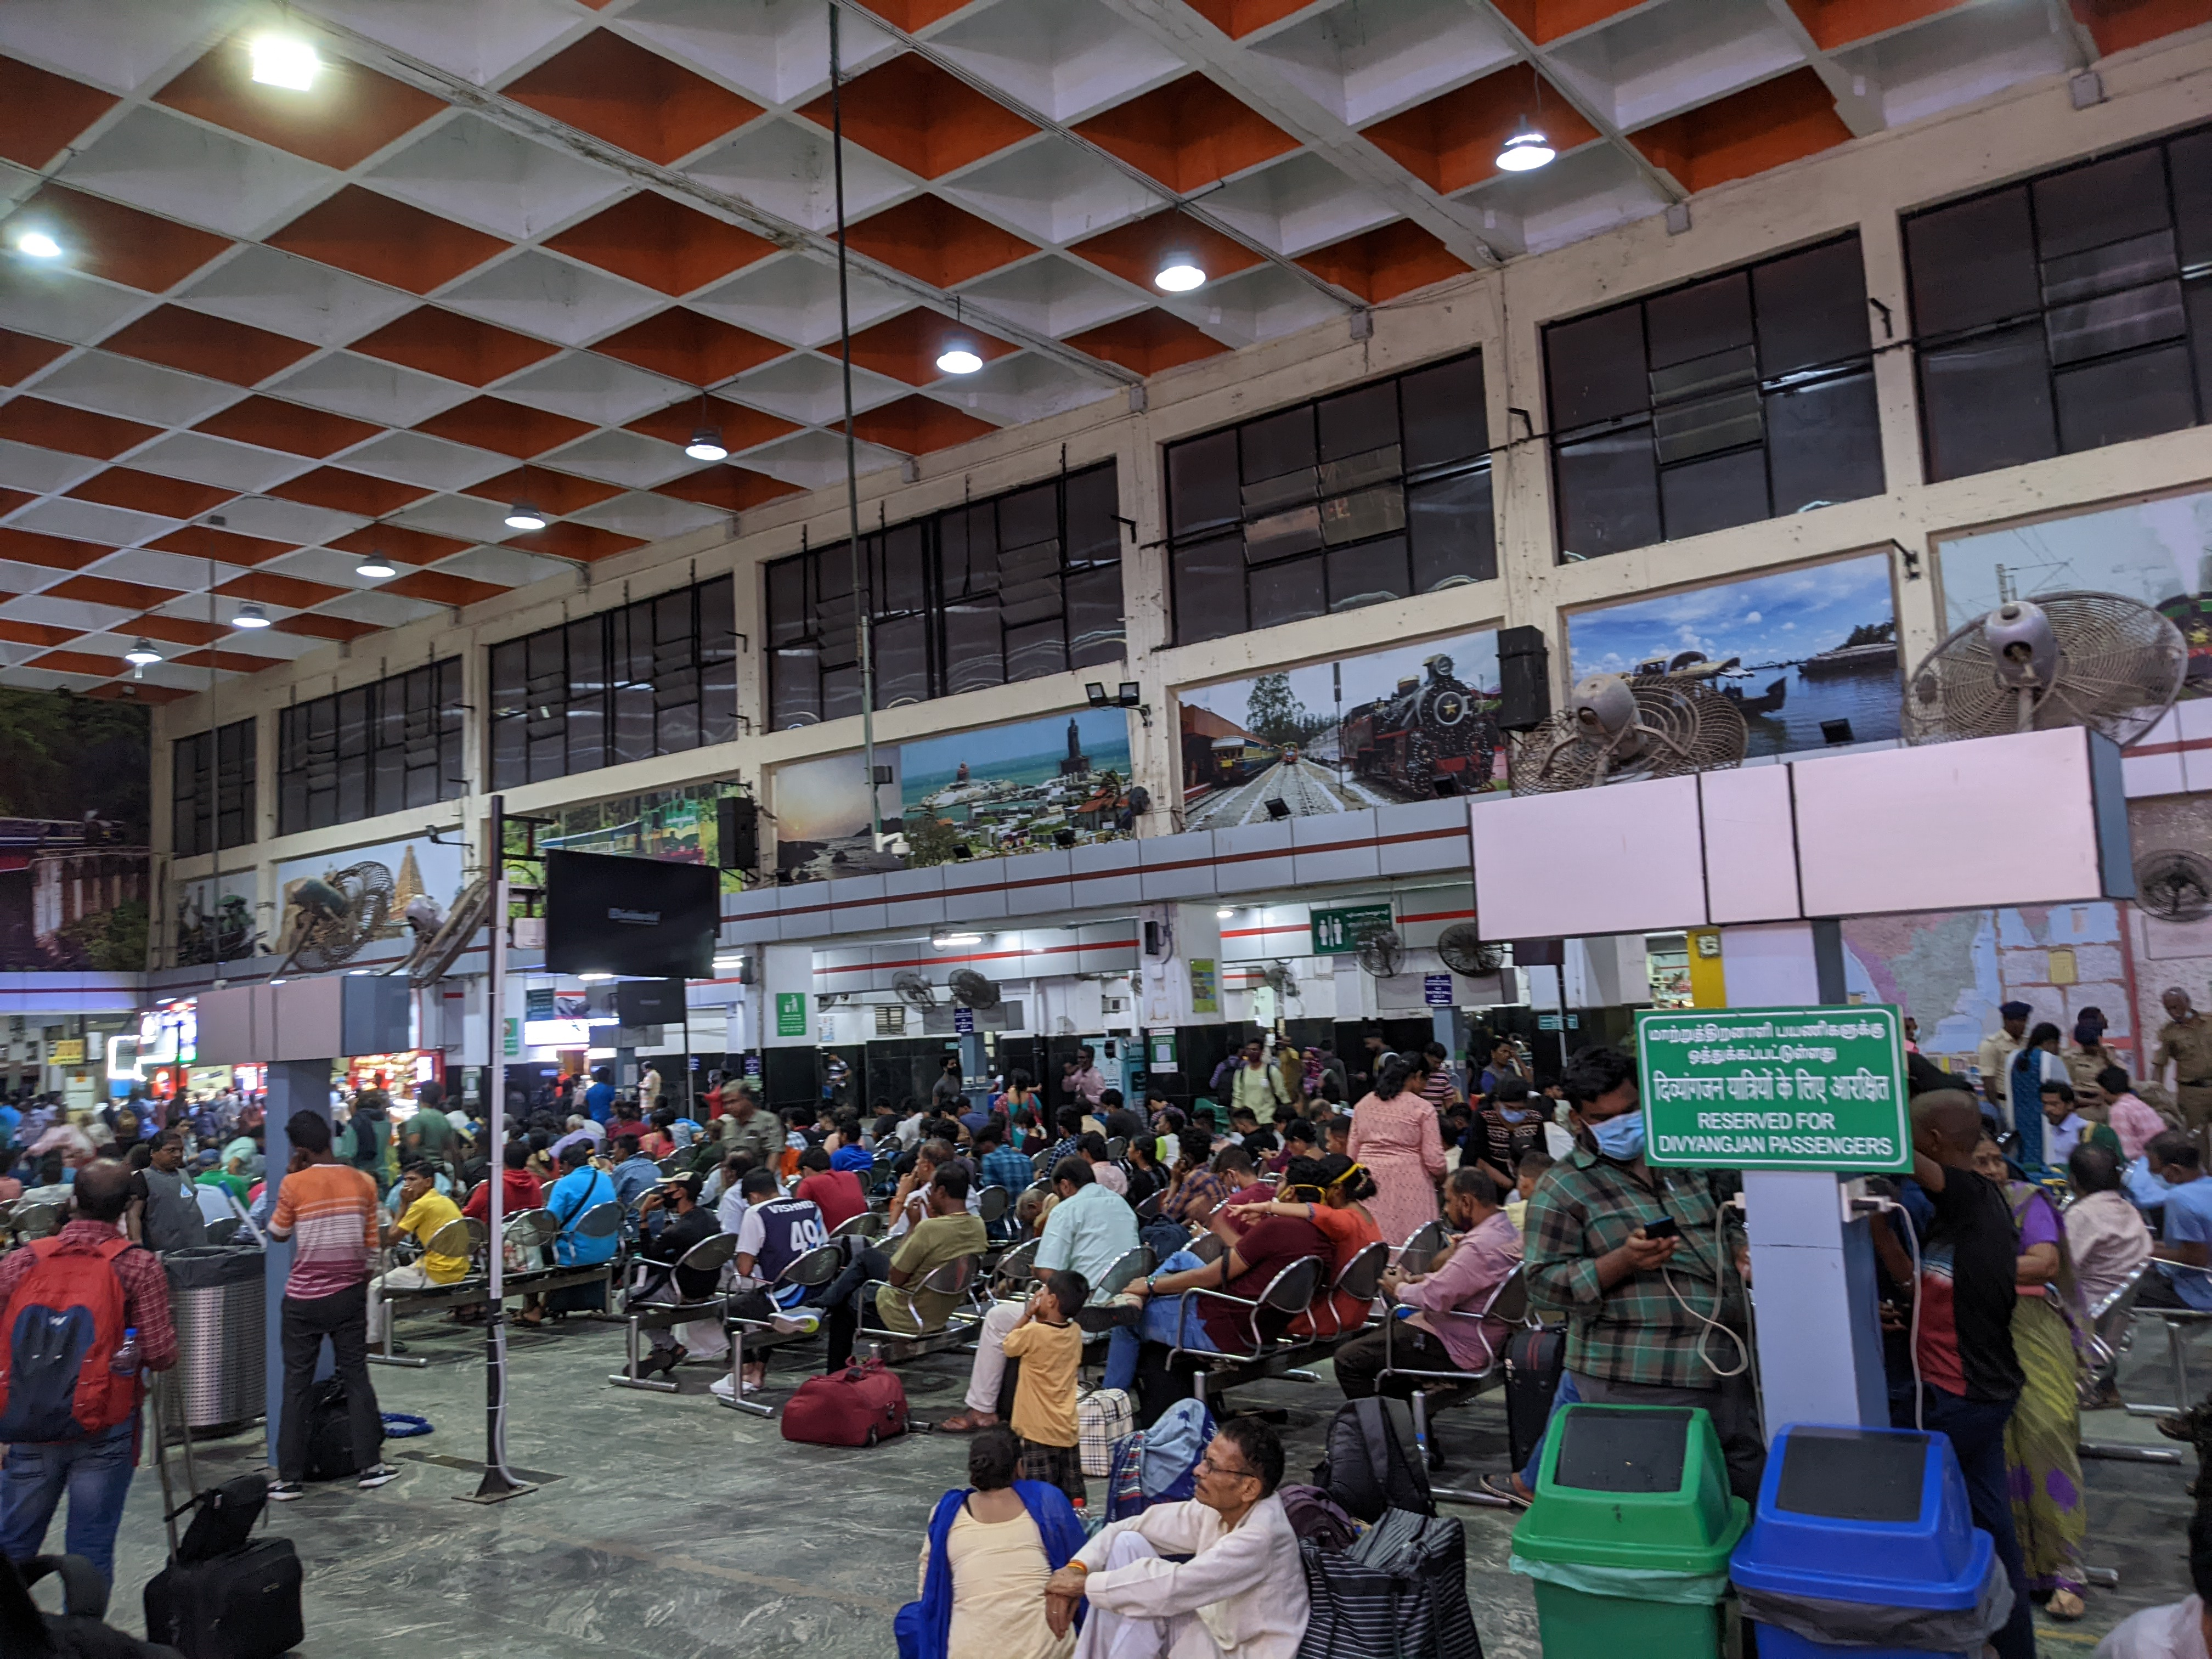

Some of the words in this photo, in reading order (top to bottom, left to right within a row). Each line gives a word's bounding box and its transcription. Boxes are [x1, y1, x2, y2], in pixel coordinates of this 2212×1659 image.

[1641, 1018, 1778, 1048] மாற்றுத்திறனாளி)
[1774, 1013, 1888, 1043] பயணிகளுக்கு
[1644, 1064, 1726, 1105] दिव्यांगजन
[1722, 1062, 1778, 1104] यात्रियों
[1771, 1064, 1798, 1101] के
[1791, 1061, 1828, 1107] लिए
[1827, 1060, 1892, 1106] आरक्षित
[1695, 1107, 1797, 1135] RESERVED
[1793, 1106, 1841, 1132] FOR
[1654, 1133, 1769, 1156] DIVYANGJAN
[1766, 1131, 1895, 1158] PASSENGERS